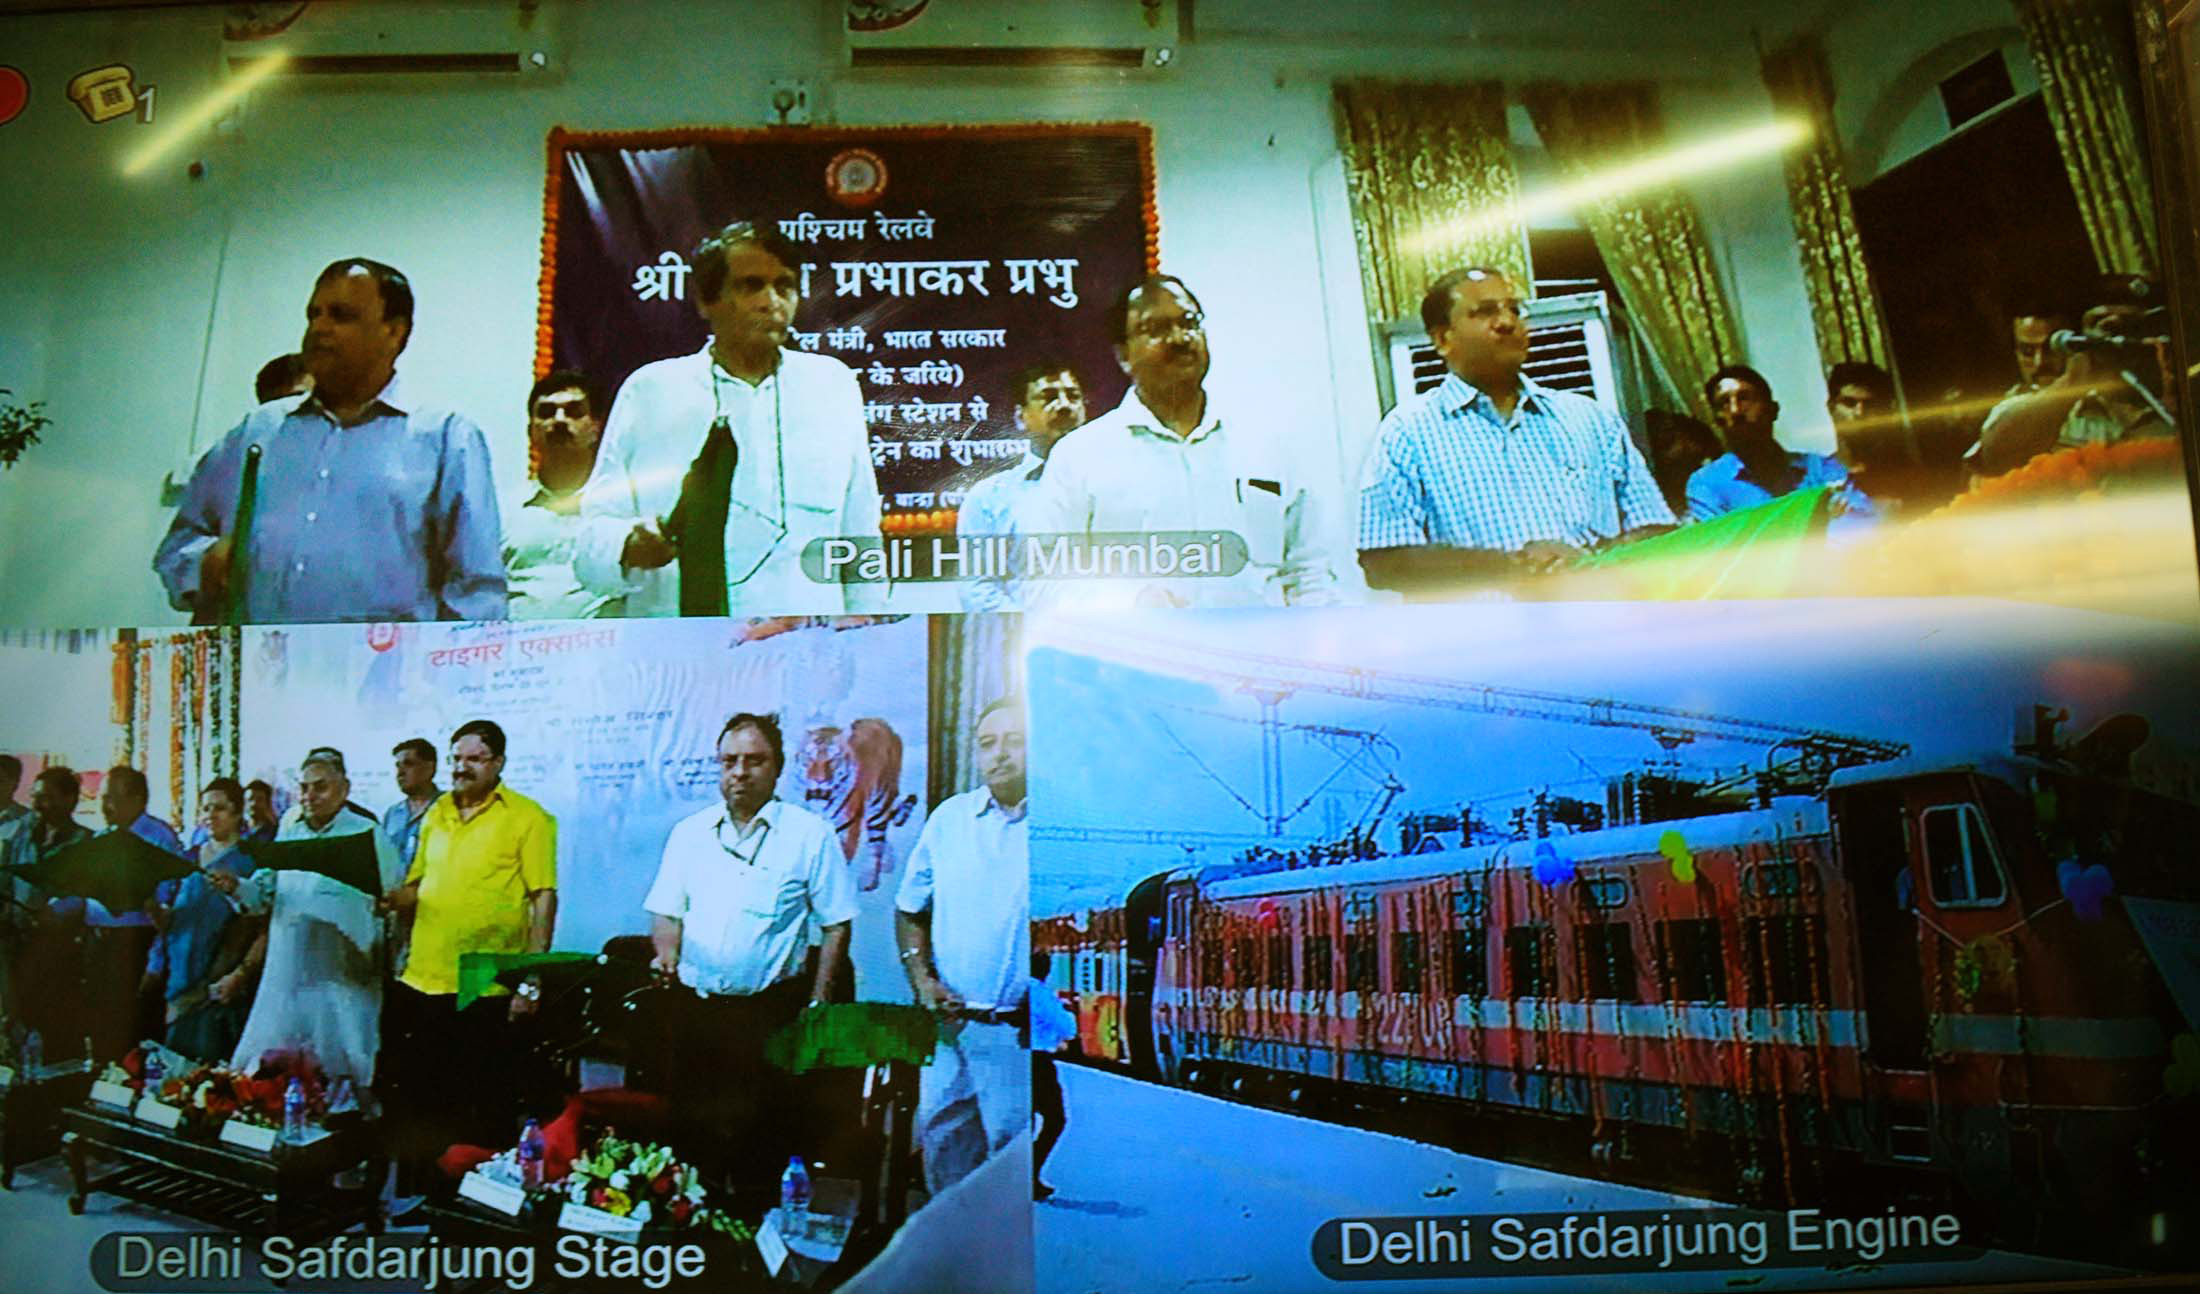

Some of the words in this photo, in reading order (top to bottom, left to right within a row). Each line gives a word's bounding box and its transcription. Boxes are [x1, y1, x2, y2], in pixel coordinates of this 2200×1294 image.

[772, 207, 870, 248] पश्‍चिम
[868, 207, 937, 243] रेलवे
[629, 241, 698, 313] श्री
[827, 255, 994, 304] प्रभाकर
[1003, 253, 1086, 315] प्रभु
[785, 324, 821, 356] ल
[821, 319, 870, 358] मंत्री
[879, 326, 937, 356] भारत
[939, 325, 1009, 353] सरकार
[861, 352, 899, 395] के
[897, 352, 956, 393] जरिये
[857, 393, 897, 428] संग
[897, 391, 966, 431] स्टेशन
[961, 388, 994, 423] से
[863, 428, 907, 471] ट्रेन
[908, 436, 946, 463] का
[946, 437, 1036, 475] शुभारम्भ
[799, 527, 933, 587] Pali
[929, 531, 1013, 585] Hill
[1019, 528, 1225, 583] Mumbai
[421, 629, 510, 673] टाइगर
[510, 615, 625, 662] एक्सप्रेस
[108, 1227, 248, 1285] Delhi
[251, 1226, 543, 1293] Safdarjung
[547, 1227, 713, 1293] Stage
[1337, 1208, 1478, 1274] Delhi
[1483, 1205, 1774, 1273] Safdarjung
[1780, 1196, 1964, 1265] Engine